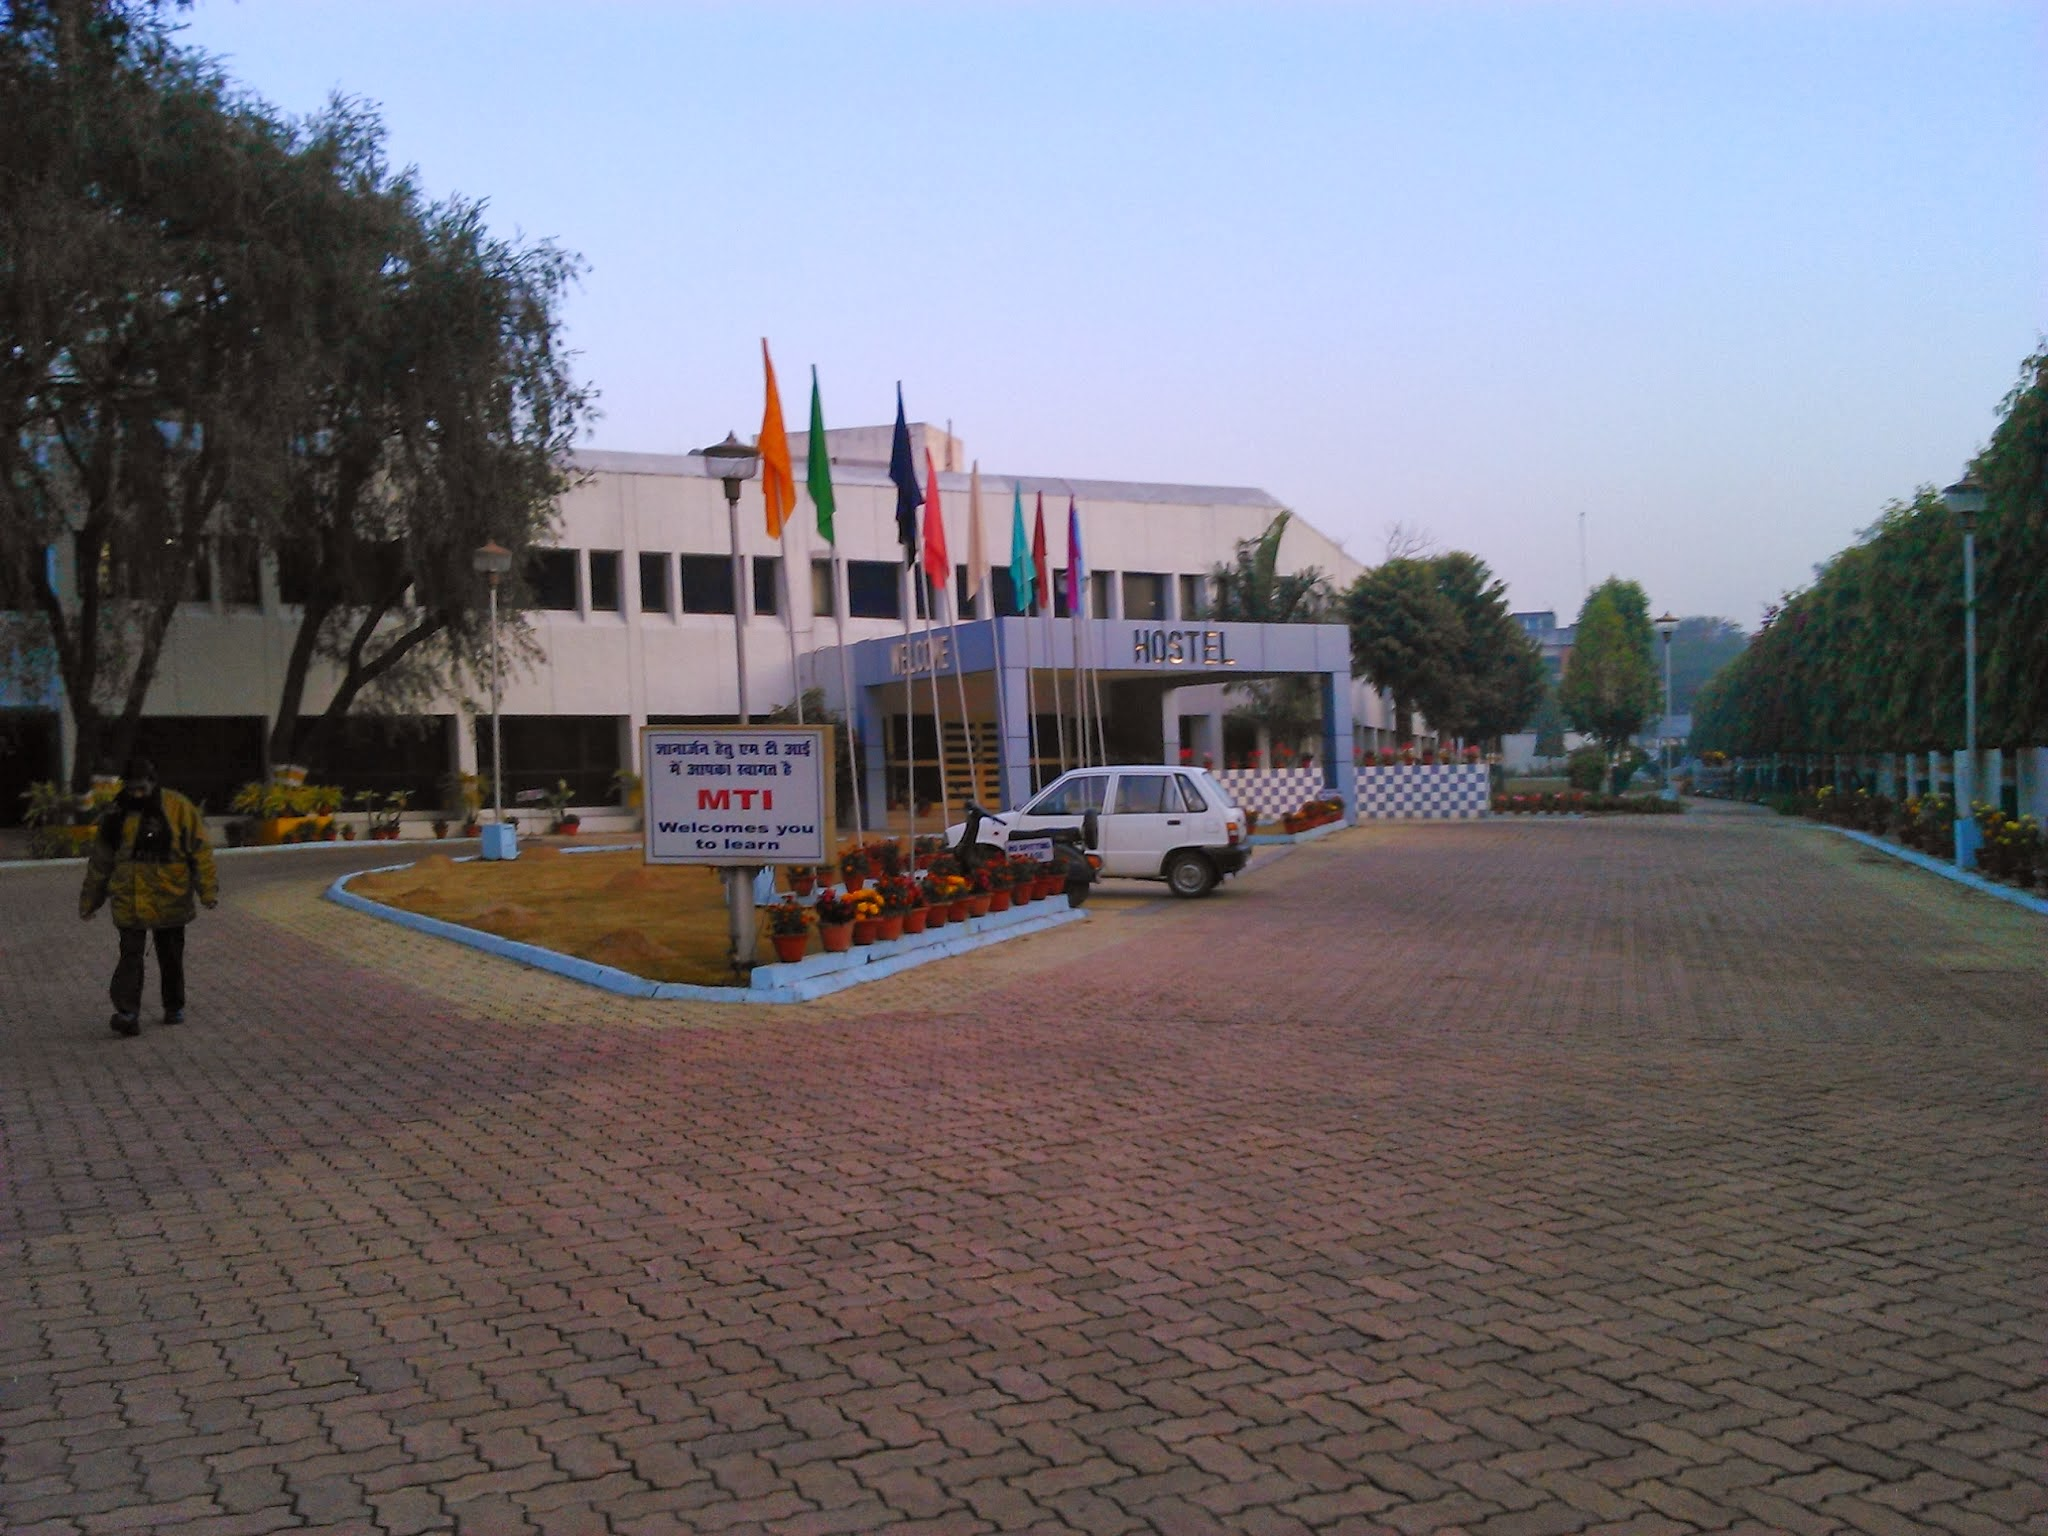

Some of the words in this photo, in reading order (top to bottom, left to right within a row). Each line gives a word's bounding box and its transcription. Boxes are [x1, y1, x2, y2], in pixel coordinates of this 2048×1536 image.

[885, 630, 952, 682] WELCOME
[1134, 627, 1236, 667] HOSTEL
[653, 733, 711, 759] ज्ञानार्जन
[709, 735, 736, 763] हेतु
[733, 741, 761, 761] एम
[759, 735, 781, 757] से
[783, 735, 815, 760] आई
[662, 755, 685, 775] में
[685, 759, 732, 779] आपका
[733, 759, 779, 780] स्वागत
[773, 758, 797, 777] है
[695, 785, 778, 815] MTI
[655, 817, 771, 837] मंता८३००५
[775, 822, 818, 838] you
[690, 837, 719, 853] to
[723, 835, 783, 854] learn